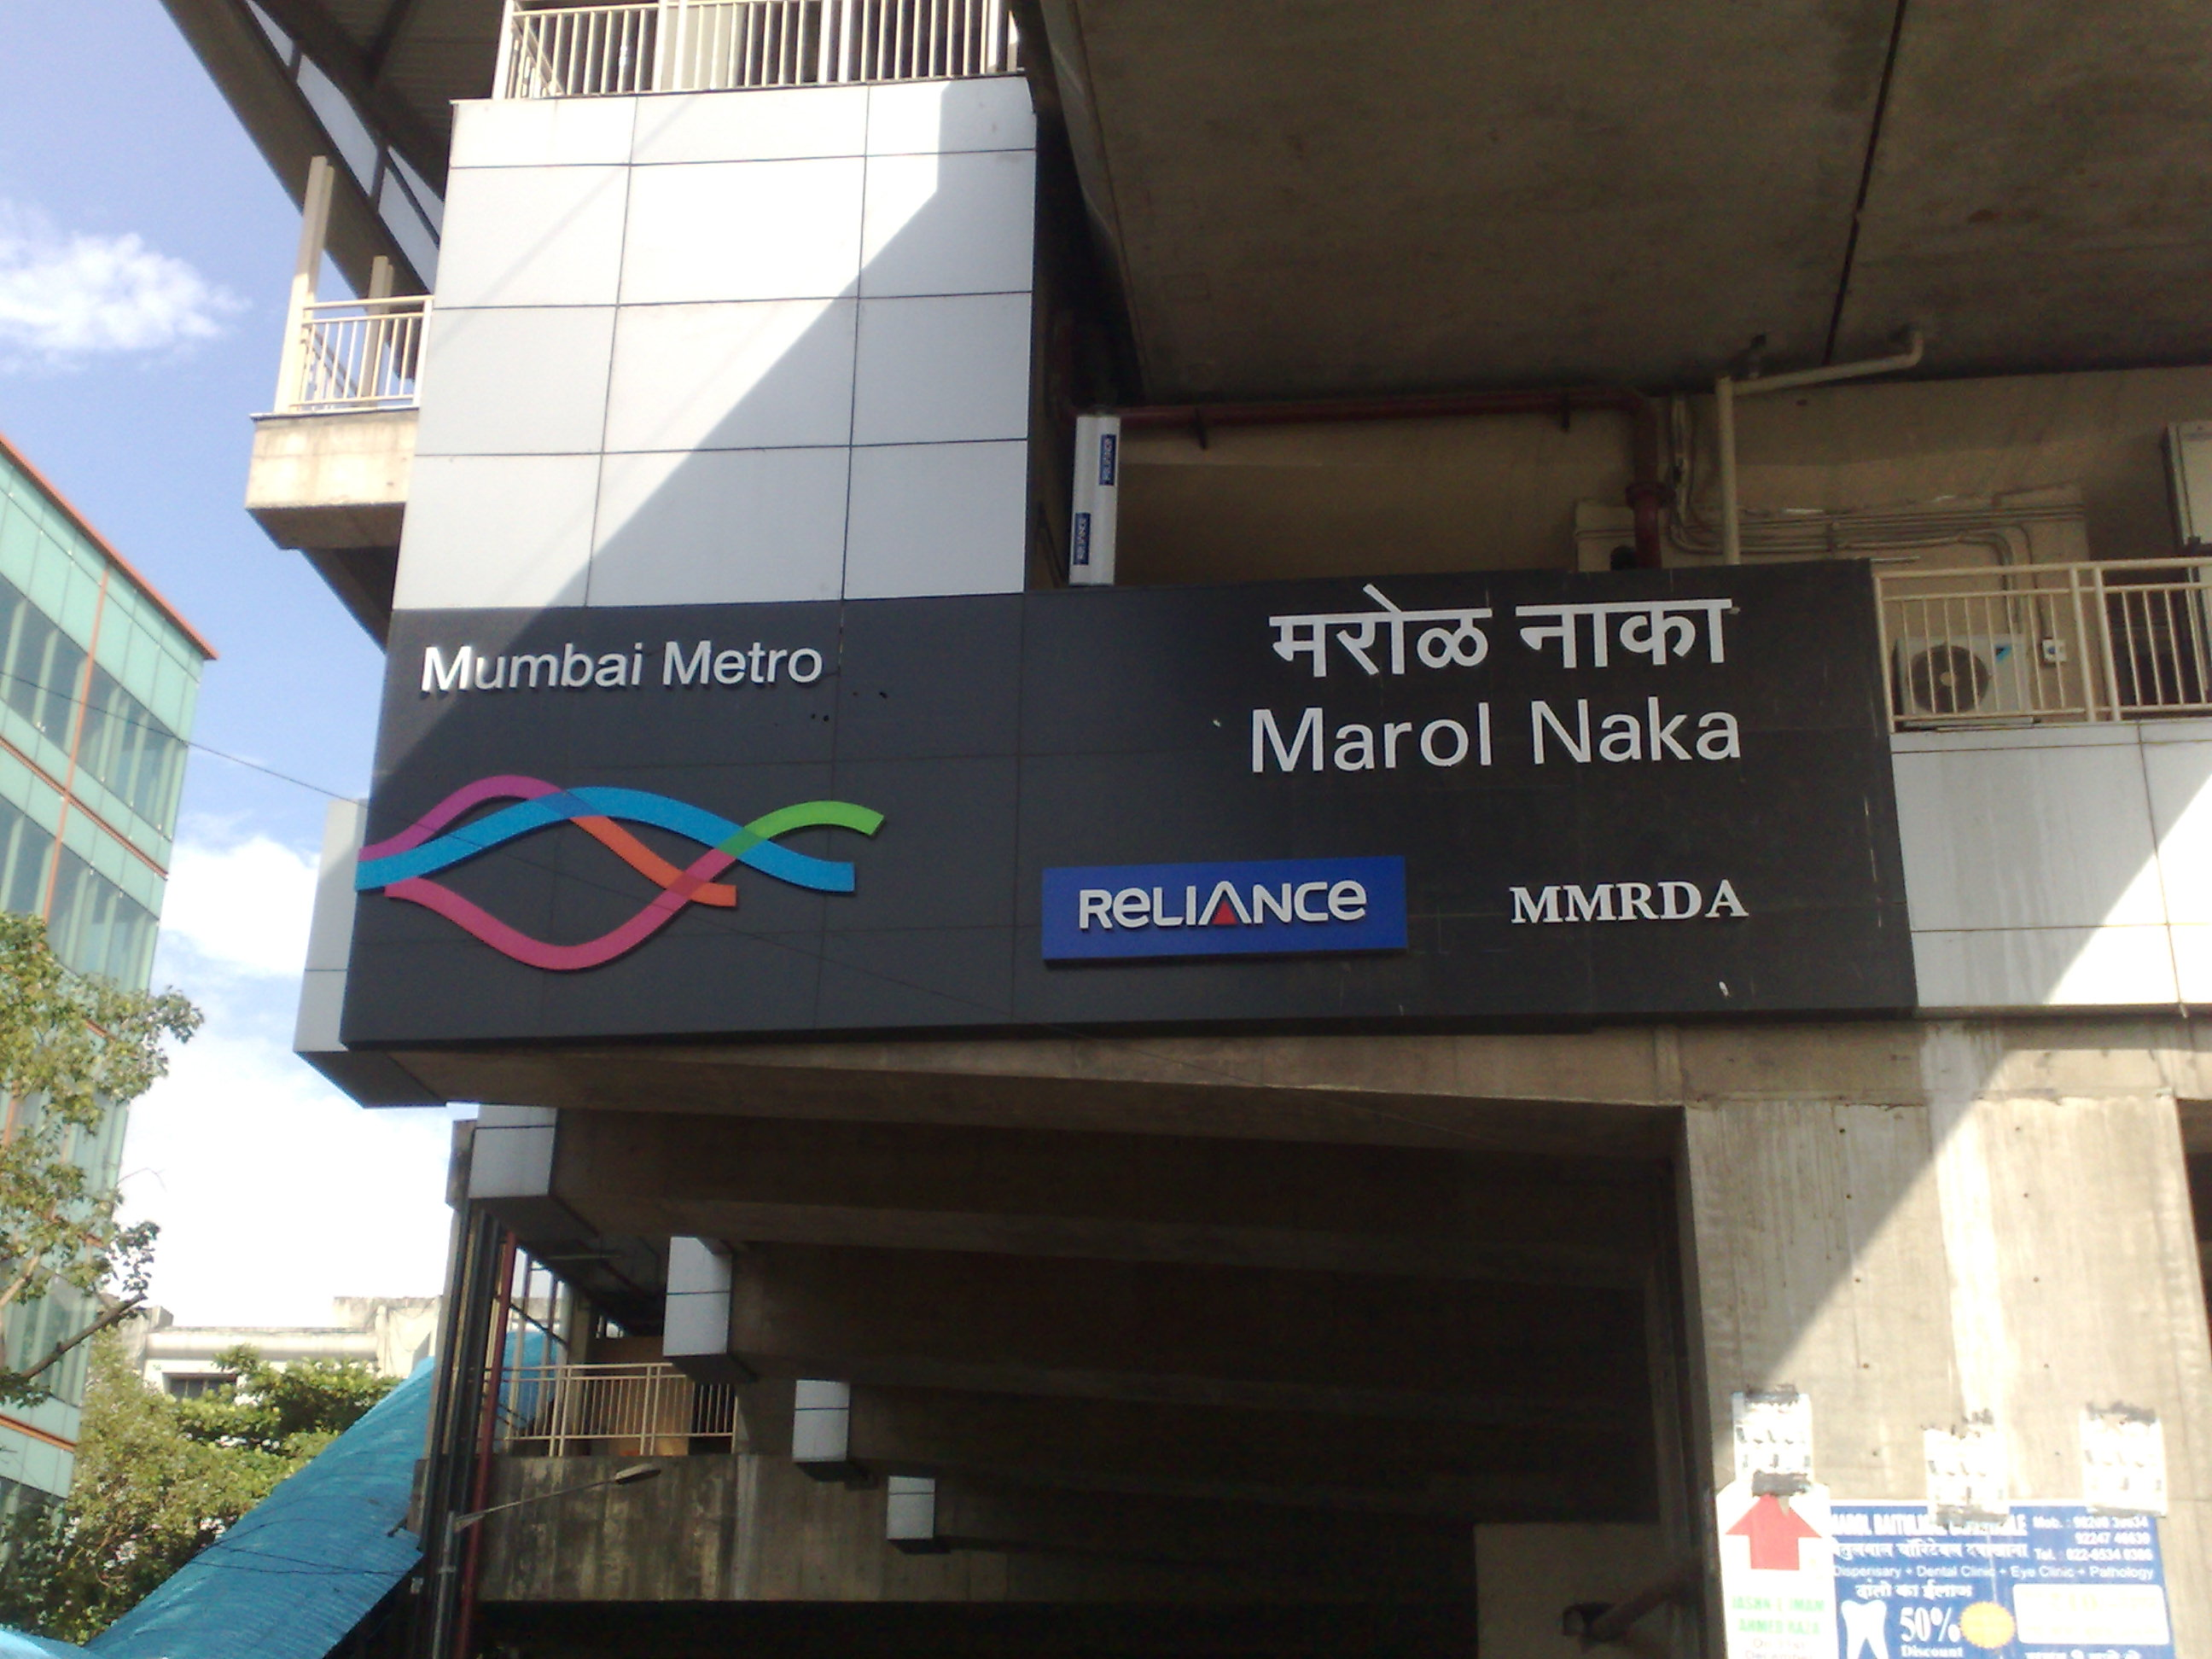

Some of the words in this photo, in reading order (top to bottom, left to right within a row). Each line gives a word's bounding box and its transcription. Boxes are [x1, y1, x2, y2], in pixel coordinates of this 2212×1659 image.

[417, 633, 651, 696] Mumbai
[661, 632, 835, 690] Metro
[1266, 576, 1494, 684] मरोळ
[1512, 591, 1737, 674] नाका
[1243, 692, 1496, 775] Marol
[1522, 689, 1748, 771] Naka
[1071, 872, 1372, 935] RELIANCE
[1504, 874, 1761, 925] MMRDA
[1894, 1532, 1969, 1563] वॉरिटेबल
[1960, 1540, 2037, 1560] दवाखाना
[1852, 1575, 1895, 1602] दांतो
[1891, 1577, 1924, 1602] का
[1913, 1575, 1979, 1605] ईलाज